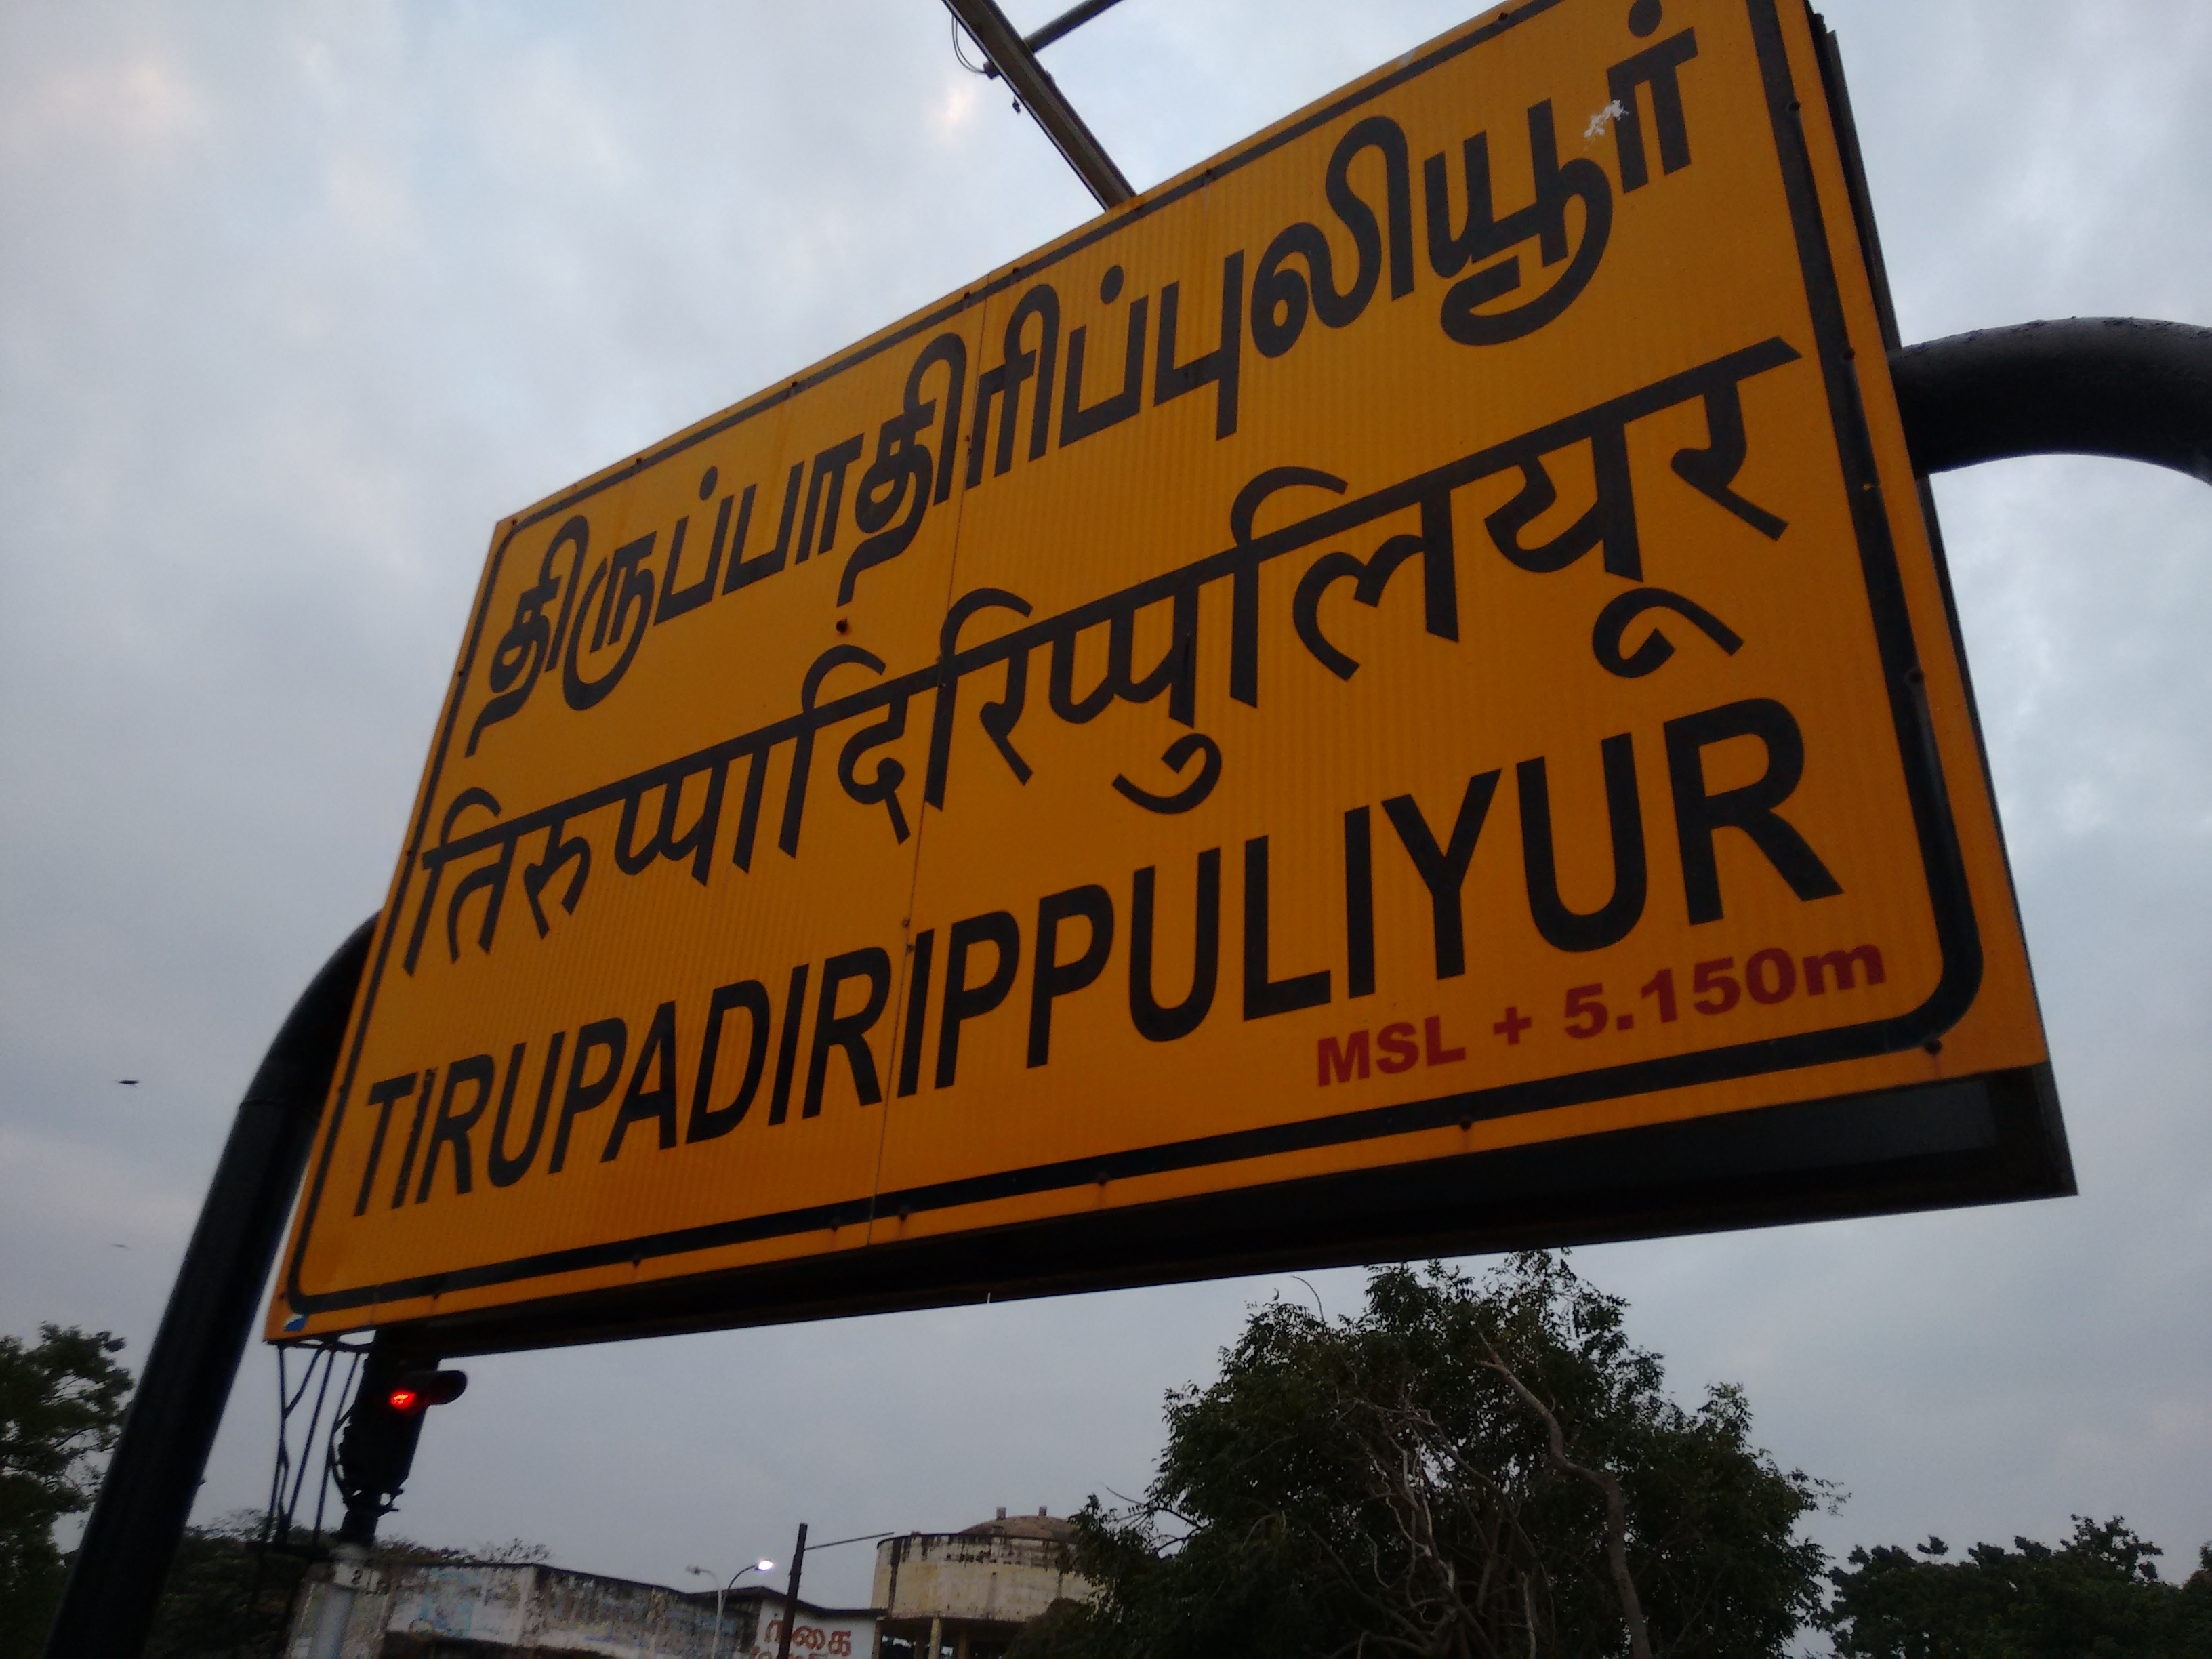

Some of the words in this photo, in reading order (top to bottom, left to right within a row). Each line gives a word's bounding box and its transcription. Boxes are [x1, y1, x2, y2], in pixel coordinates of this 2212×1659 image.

[458, 81, 1696, 759] திருப்பாதிரிப்புலியூர்
[396, 325, 1812, 983] तिरुप्पादिरिप्पुलियूर
[351, 690, 1850, 1217] TIRUPADIRIPPULIYUR
[1311, 1002, 1481, 1095] MSL
[1561, 935, 1902, 1052] 5.150m